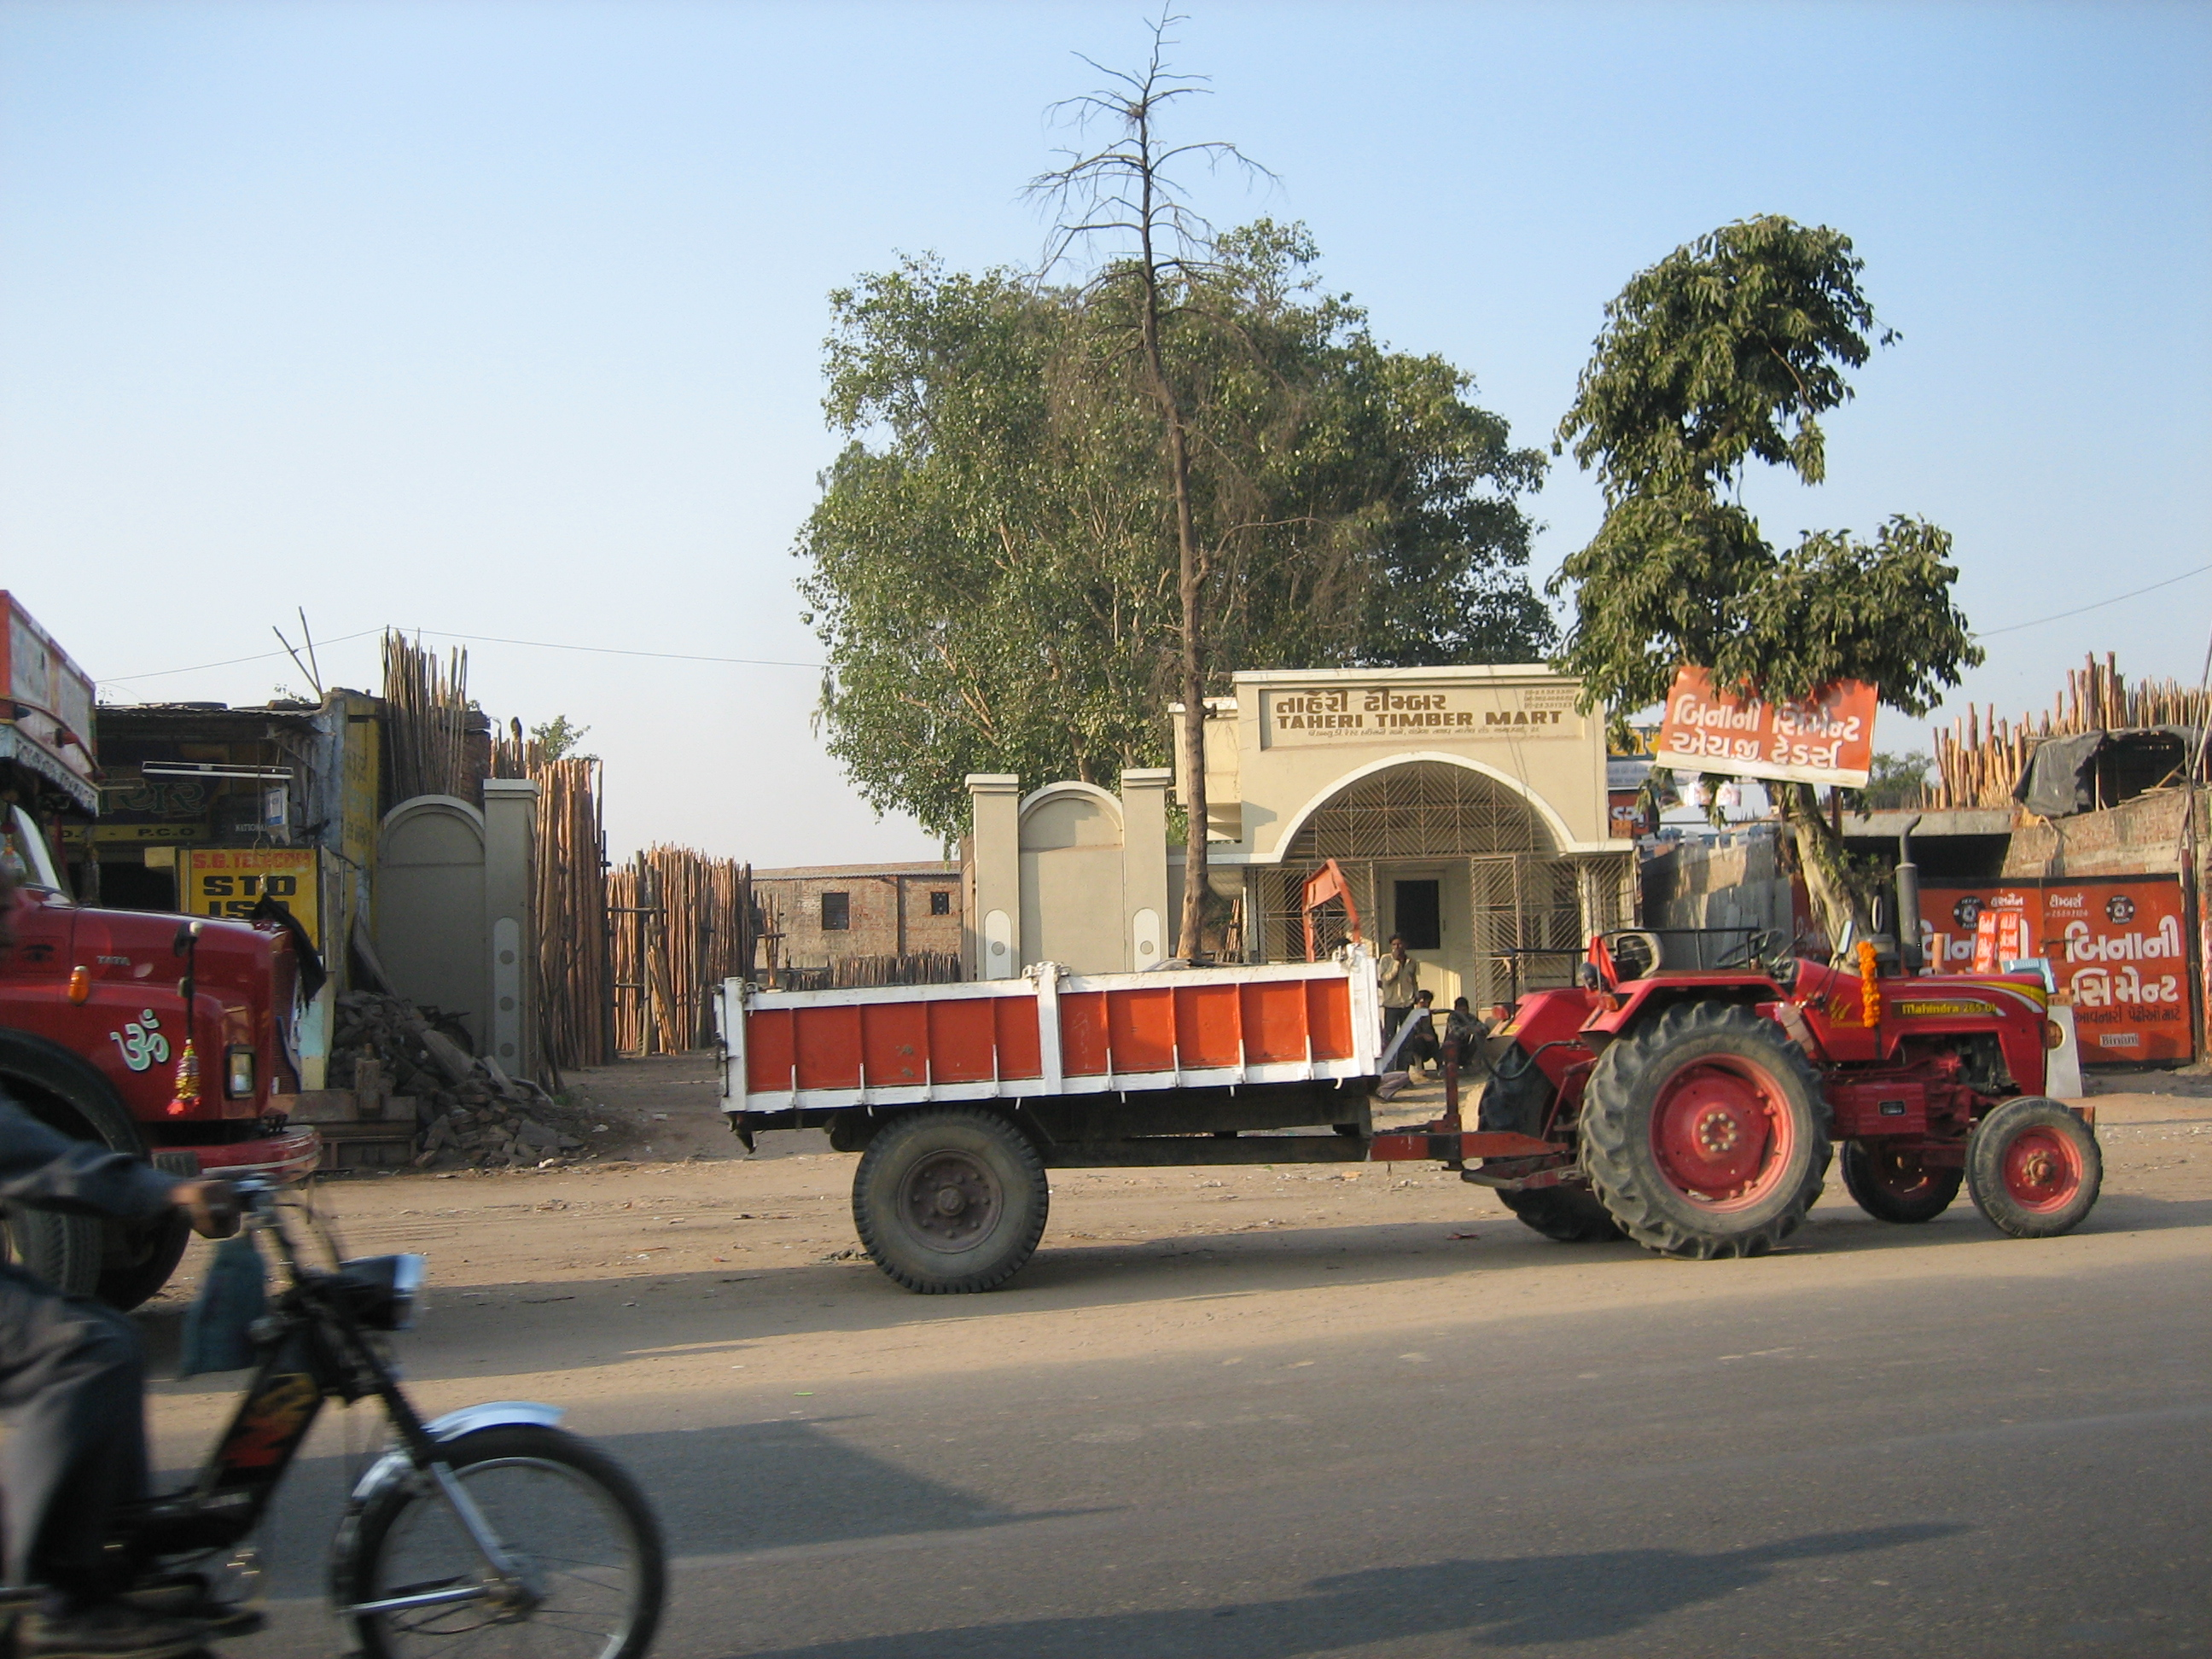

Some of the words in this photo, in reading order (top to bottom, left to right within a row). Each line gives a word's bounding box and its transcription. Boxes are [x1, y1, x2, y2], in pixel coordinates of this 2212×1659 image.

[1271, 683, 1353, 746] TAHER
[1679, 701, 1750, 721] બના
[203, 875, 261, 899] ST
[2063, 911, 2186, 964] બિનાની
[2071, 964, 2187, 1010] સિમેન્ટ